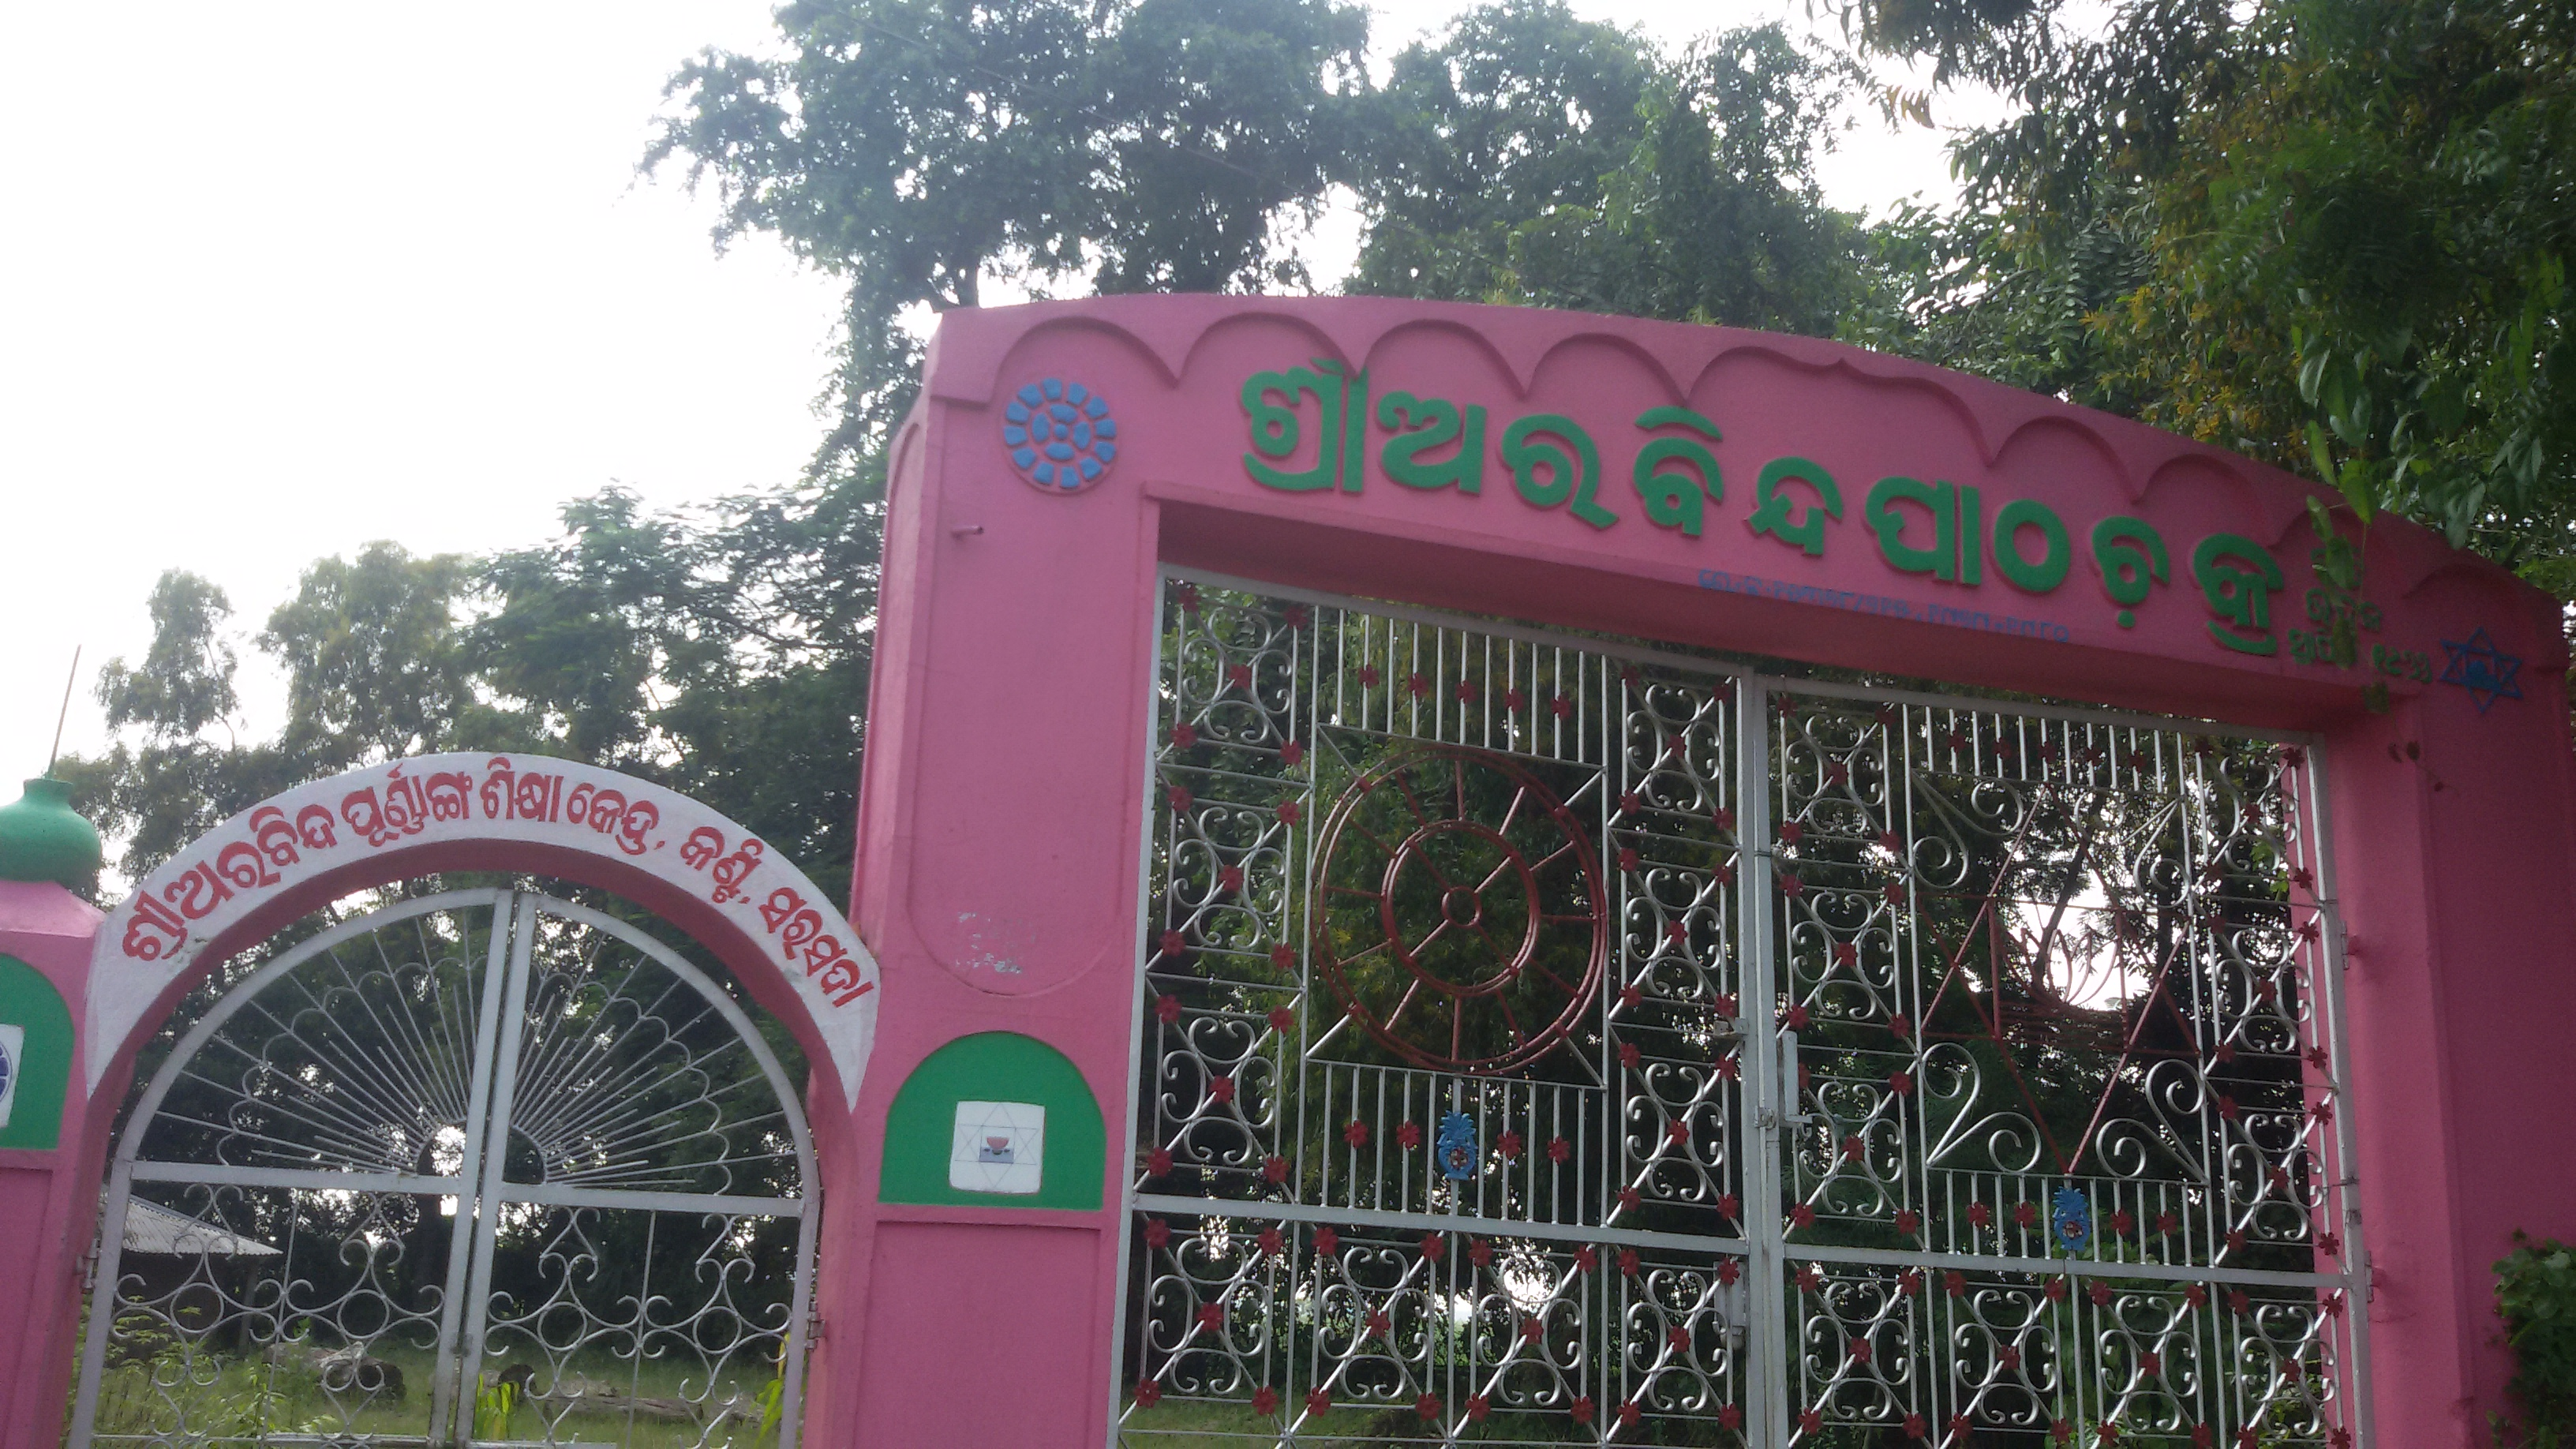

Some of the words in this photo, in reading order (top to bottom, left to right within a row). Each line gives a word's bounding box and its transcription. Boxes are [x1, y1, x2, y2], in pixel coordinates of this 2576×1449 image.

[1225, 350, 1631, 543] ଶ୍ରୀଅର
[1623, 393, 1856, 563] ବିନ୍ଦ
[1856, 467, 2289, 671] ପାଠଚ଼କ୍ର
[113, 796, 345, 970] ଶ୍ରୀଅରବିନ୍ଦ
[335, 756, 481, 852] ପୂର୍ଣାଙ୍ଗ
[475, 747, 665, 862] ଶିକ୍ଷା କେନ୍ଦ୍ର
[673, 819, 767, 910] କଣ୍ଟି
[751, 878, 878, 1013] ସରସଦା